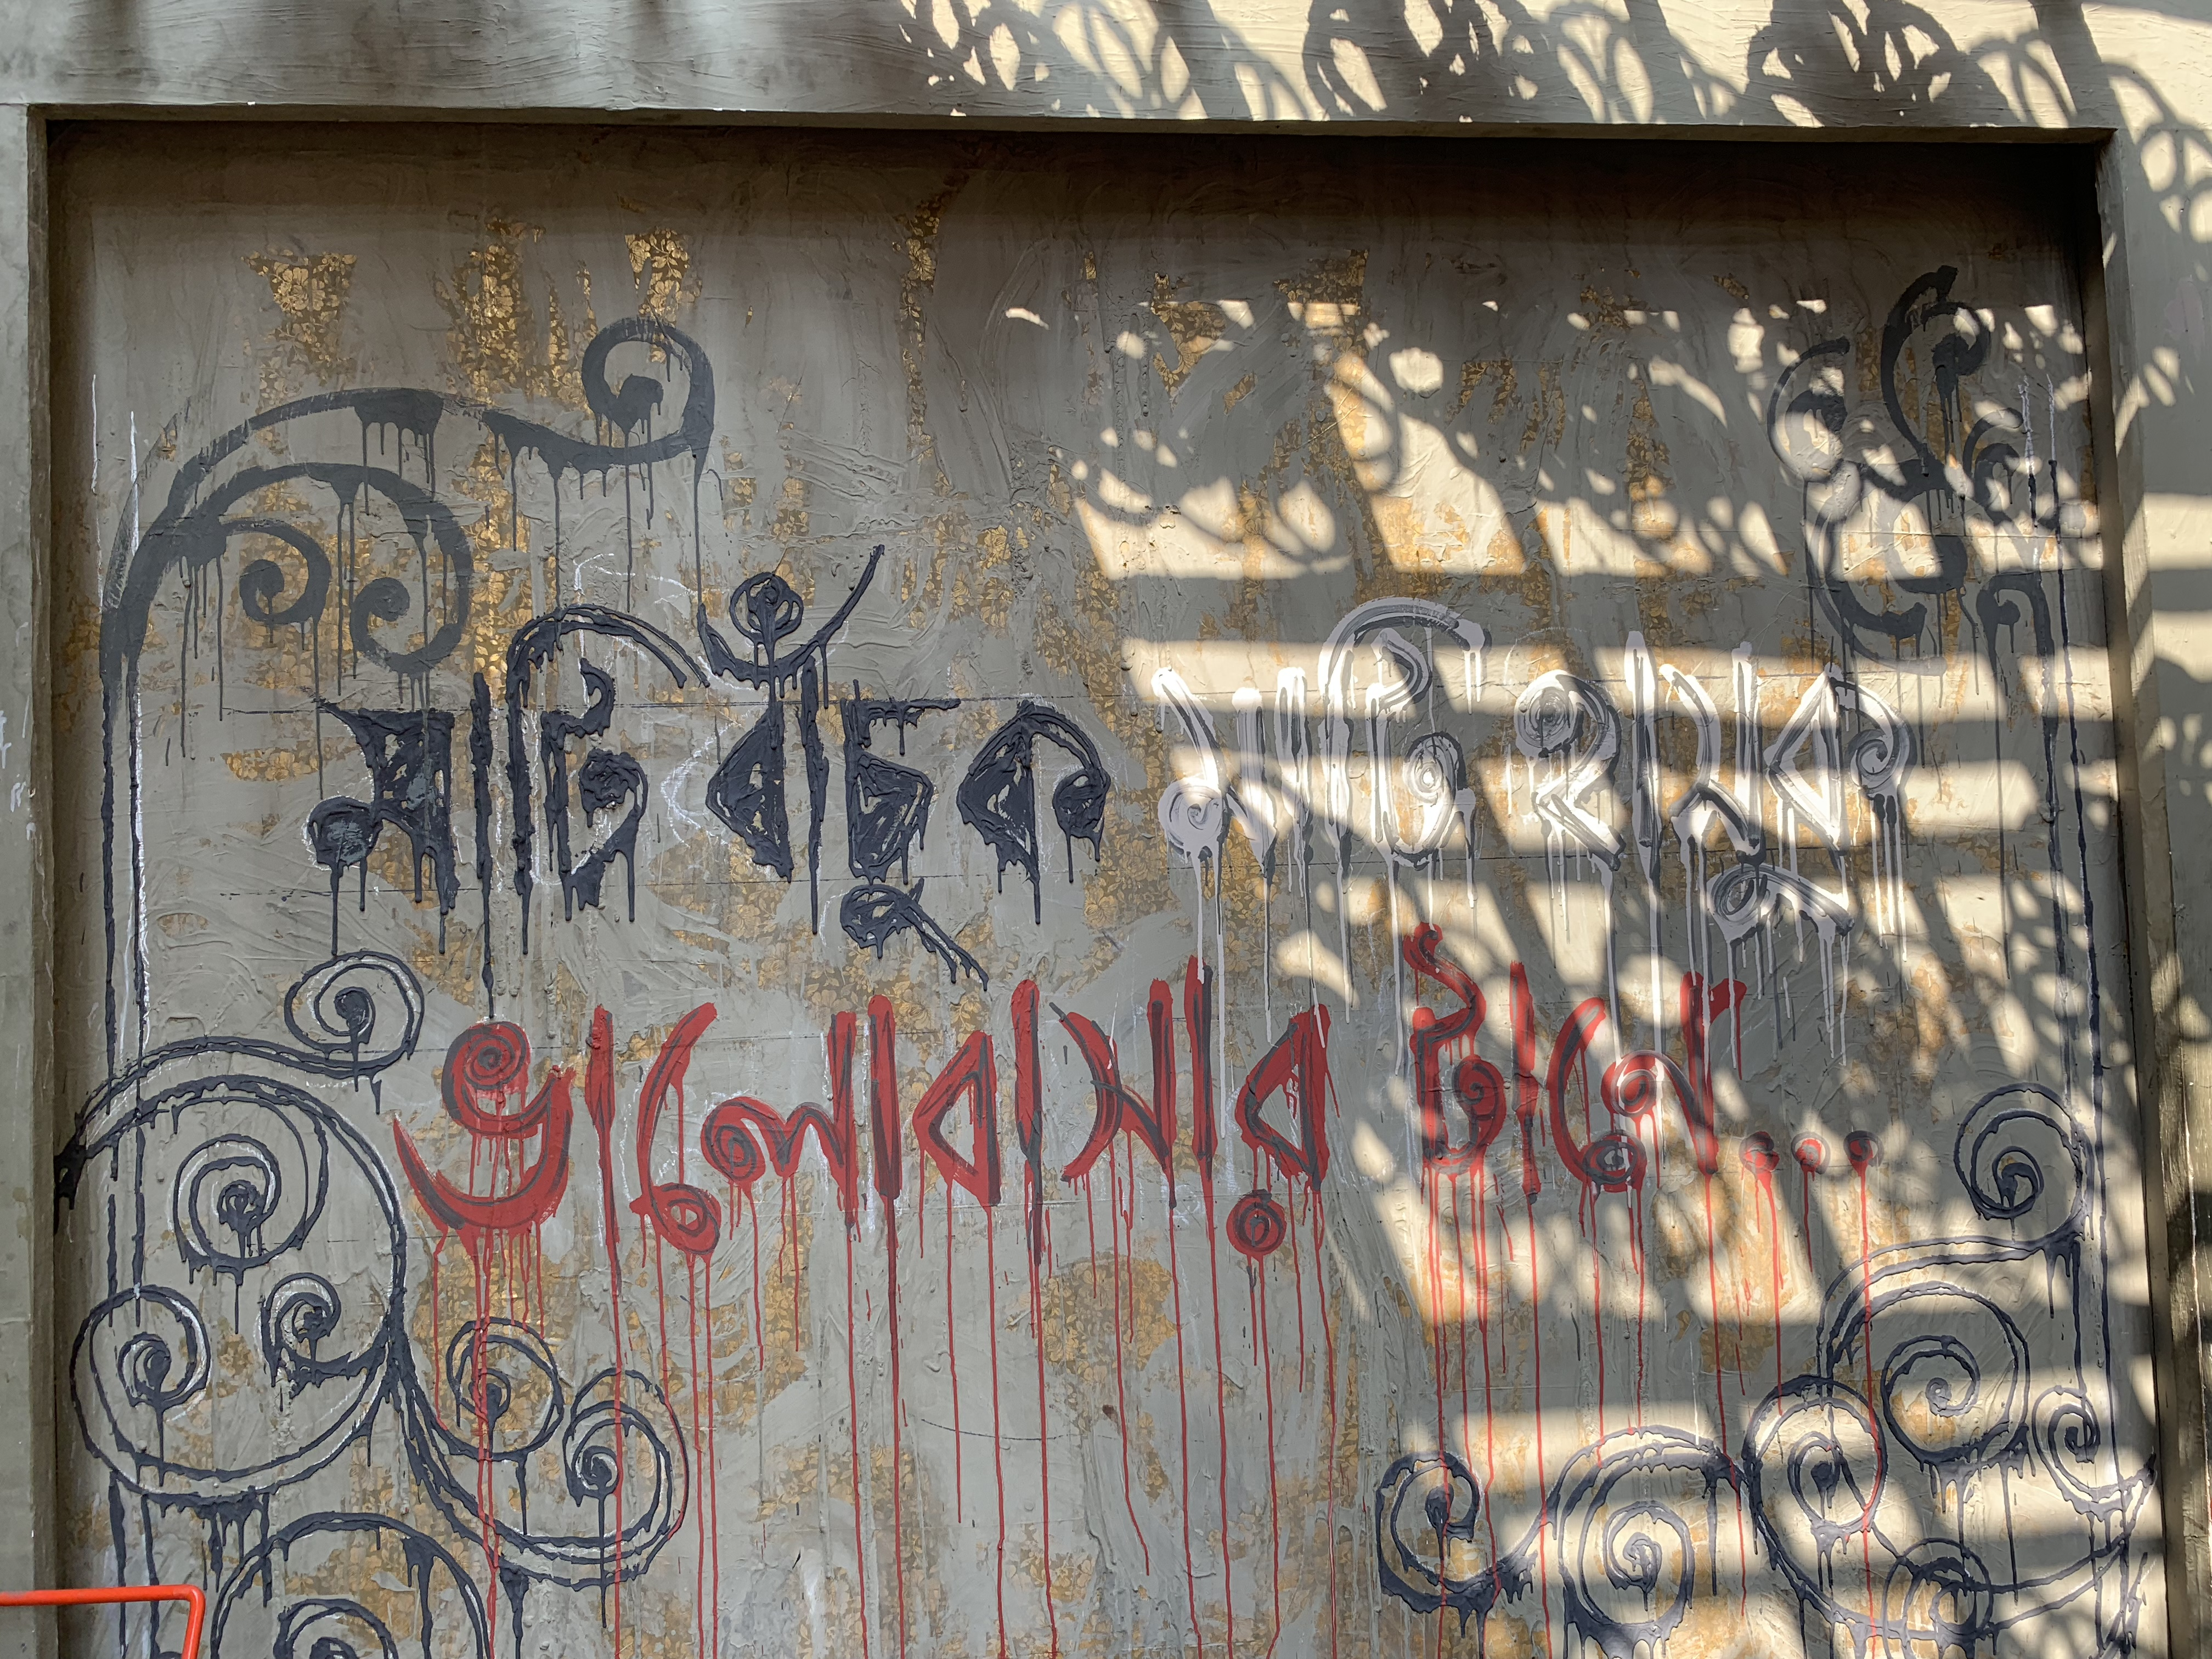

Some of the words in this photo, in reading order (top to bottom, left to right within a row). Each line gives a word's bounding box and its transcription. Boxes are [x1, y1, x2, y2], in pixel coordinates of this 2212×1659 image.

[374, 955, 1359, 1272] ভালোবাসার